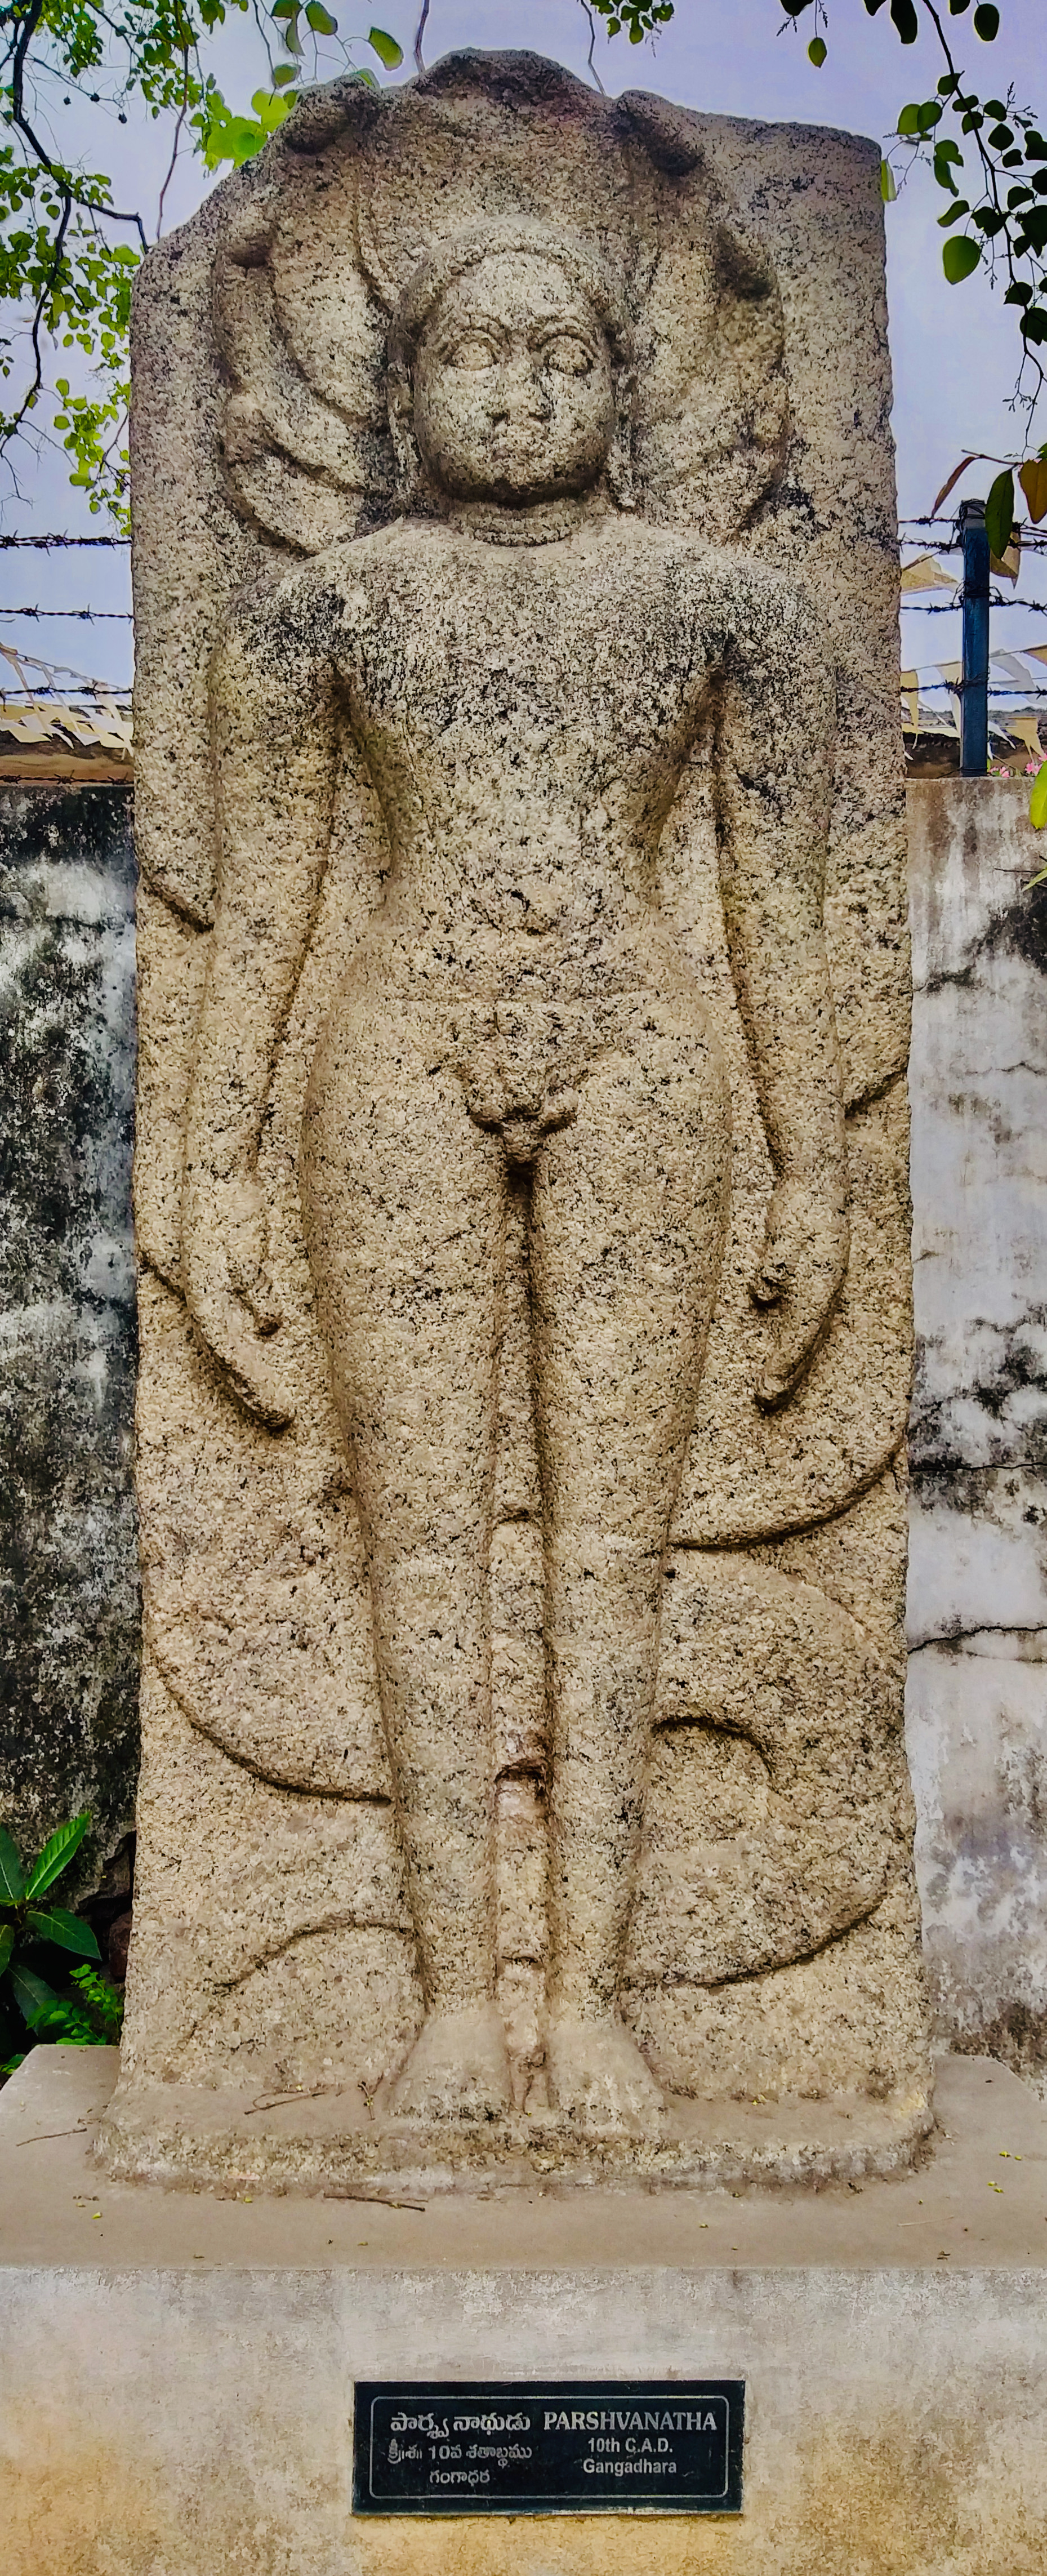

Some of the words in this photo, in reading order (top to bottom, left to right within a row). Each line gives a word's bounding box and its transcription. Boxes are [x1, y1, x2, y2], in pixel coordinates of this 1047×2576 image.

[387, 2408, 452, 2443] పార్శ్వ
[452, 2409, 534, 2437] నాథుడు
[541, 2408, 718, 2433] PARSHVANATHA
[385, 2432, 425, 2467] క్రీ॥శ॥
[429, 2442, 464, 2462] 10వ
[427, 2467, 493, 2488] గంగాధర
[465, 2441, 534, 2470] శతాబ్థము
[588, 2435, 622, 2455] 10th
[581, 2455, 679, 2480] Gangadhara
[622, 2432, 675, 2458] C.A.D.